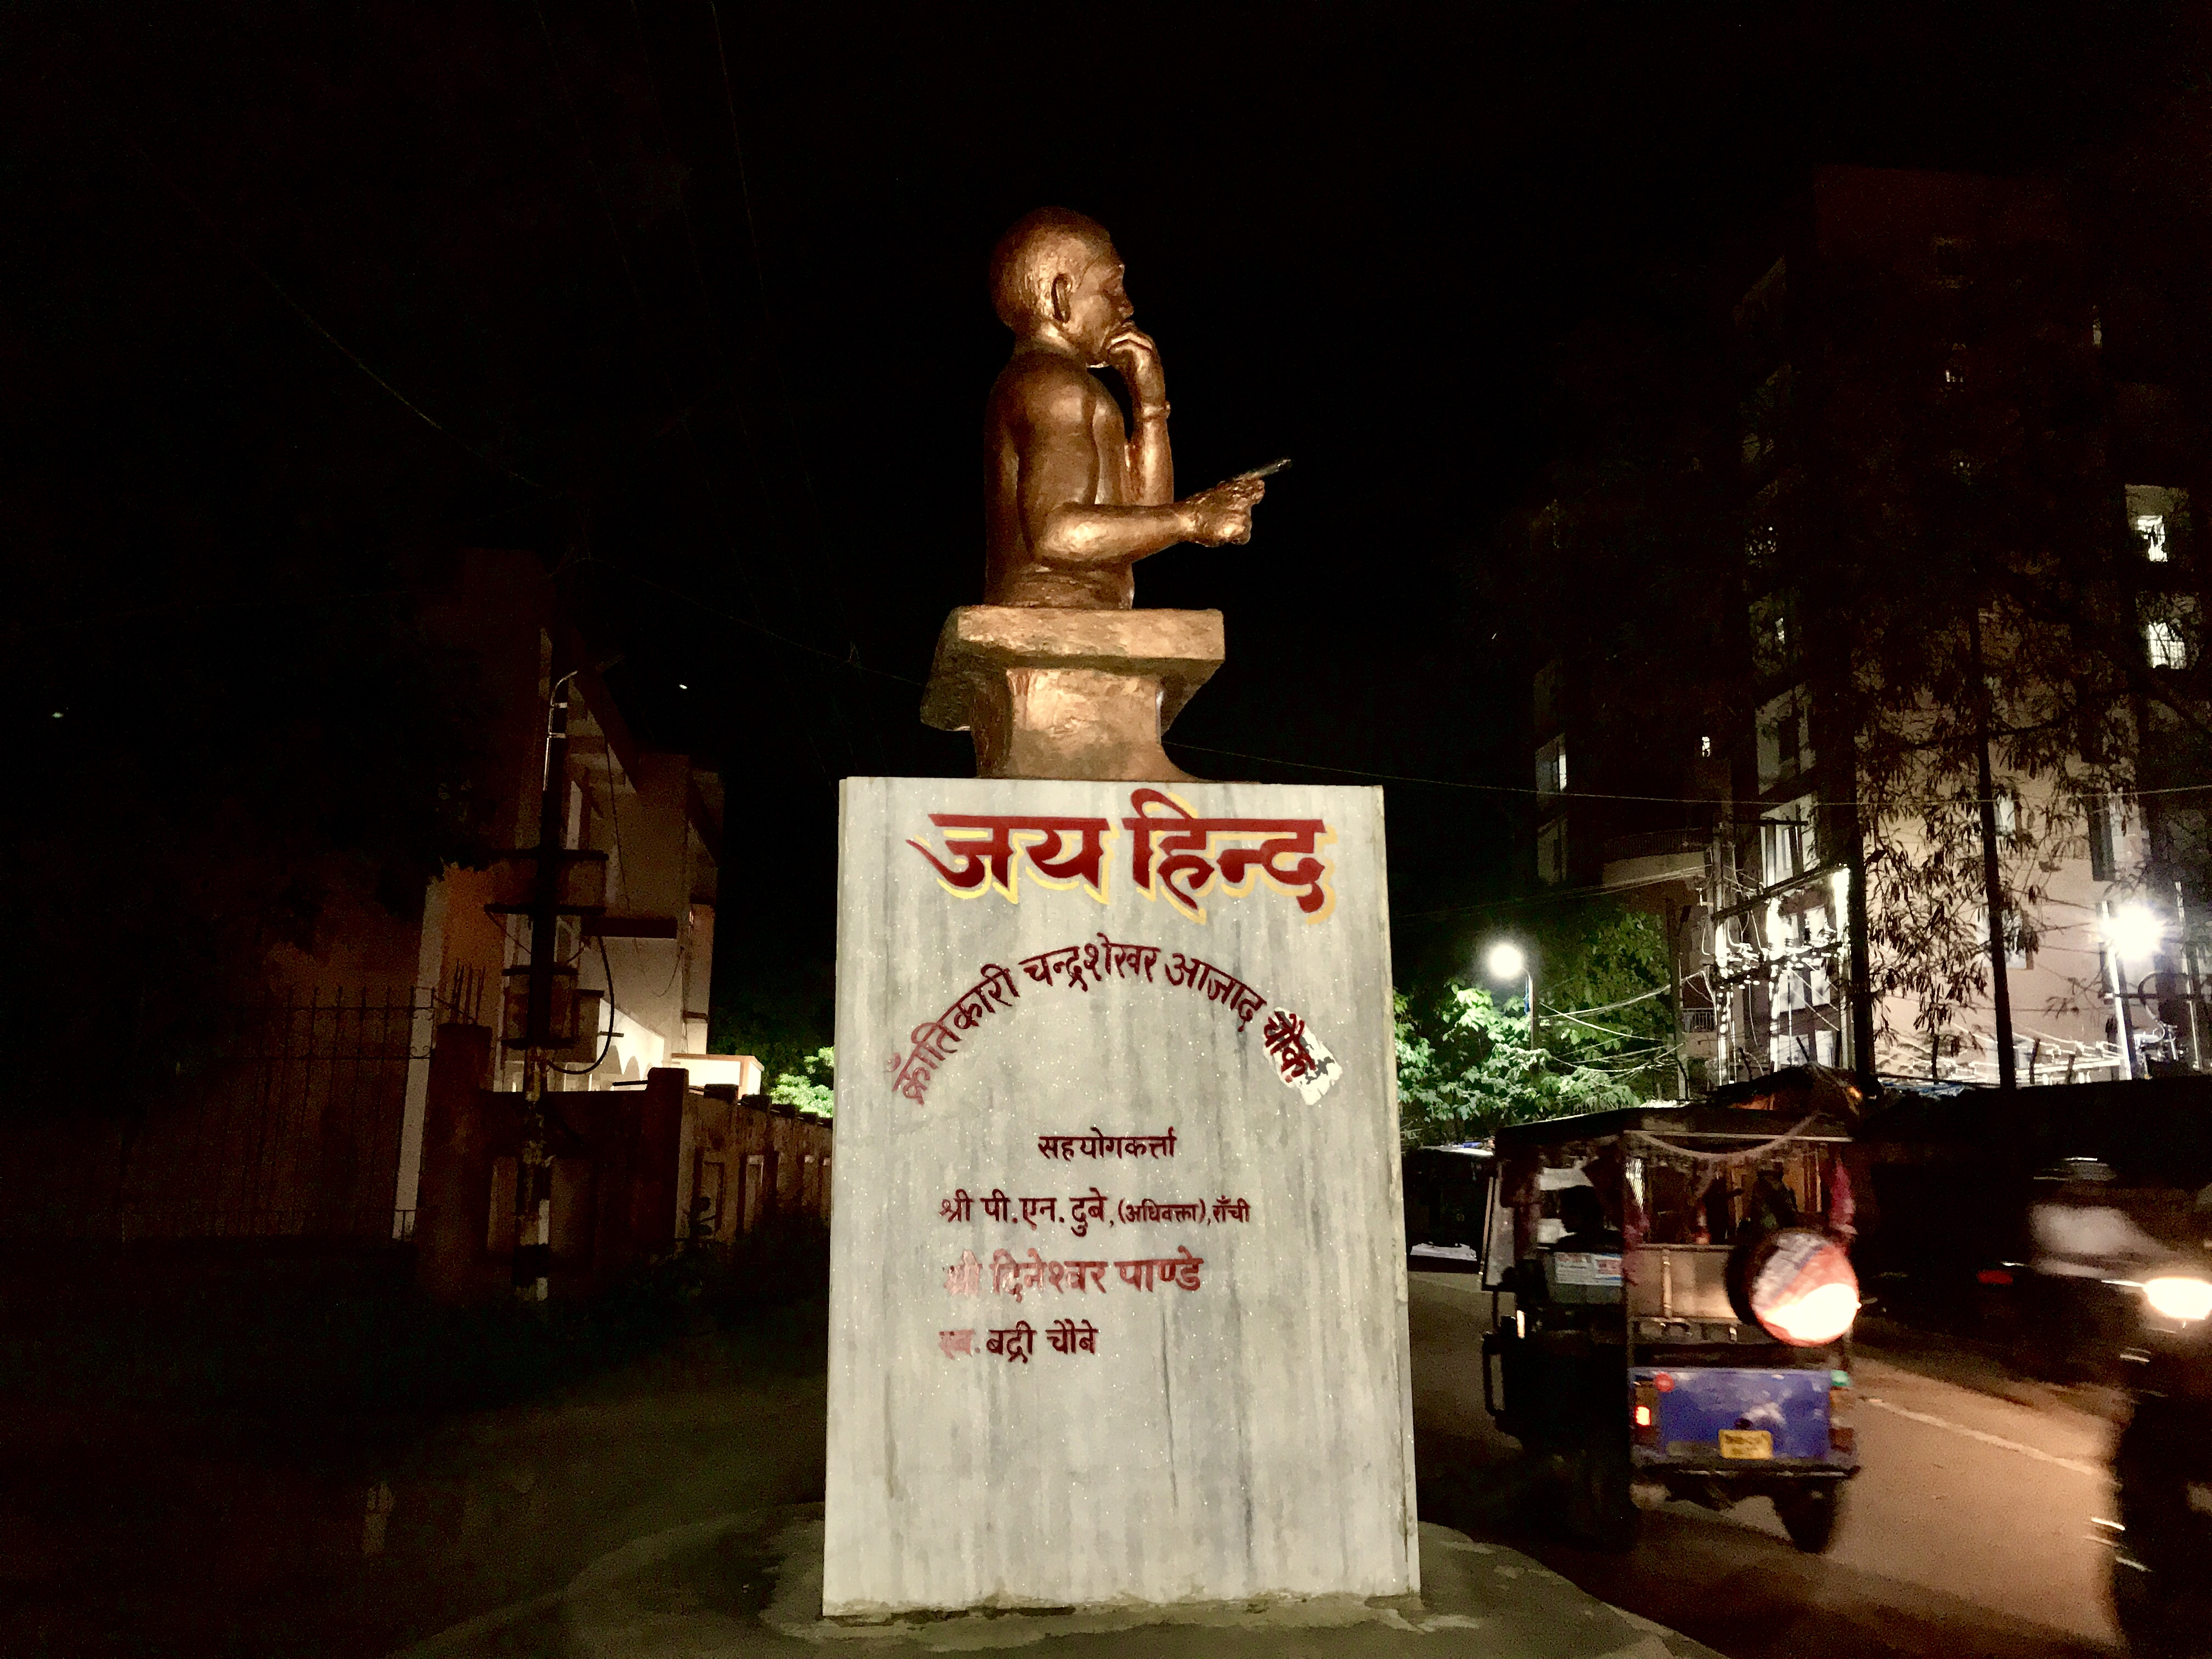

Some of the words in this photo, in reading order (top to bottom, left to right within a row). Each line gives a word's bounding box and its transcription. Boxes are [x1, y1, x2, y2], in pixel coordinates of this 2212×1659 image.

[902, 808, 1110, 906] जय
[1113, 783, 1342, 932] हिन्द
[1015, 926, 1162, 996] चन्द्रशेखर
[1155, 946, 1274, 1041] आजाद
[884, 957, 1024, 1113] क्रांतिकारी
[1259, 1007, 1321, 1085] चौक
[1035, 1122, 1181, 1166] सहयोगकर्त्ता
[935, 1183, 978, 1224] श्री
[975, 1183, 1110, 1244] पी॰एन॰दुबे
[1121, 1193, 1199, 1228] अधिवक्ता
[1209, 1191, 1252, 1228] रॉँची
[942, 1243, 986, 1302] श्री
[986, 1242, 1113, 1308] दिनेश्‍वर
[1113, 1242, 1205, 1296] पाण्डे
[984, 1316, 1042, 1371] बद्री़
[1042, 1315, 1107, 1359] चोेबे